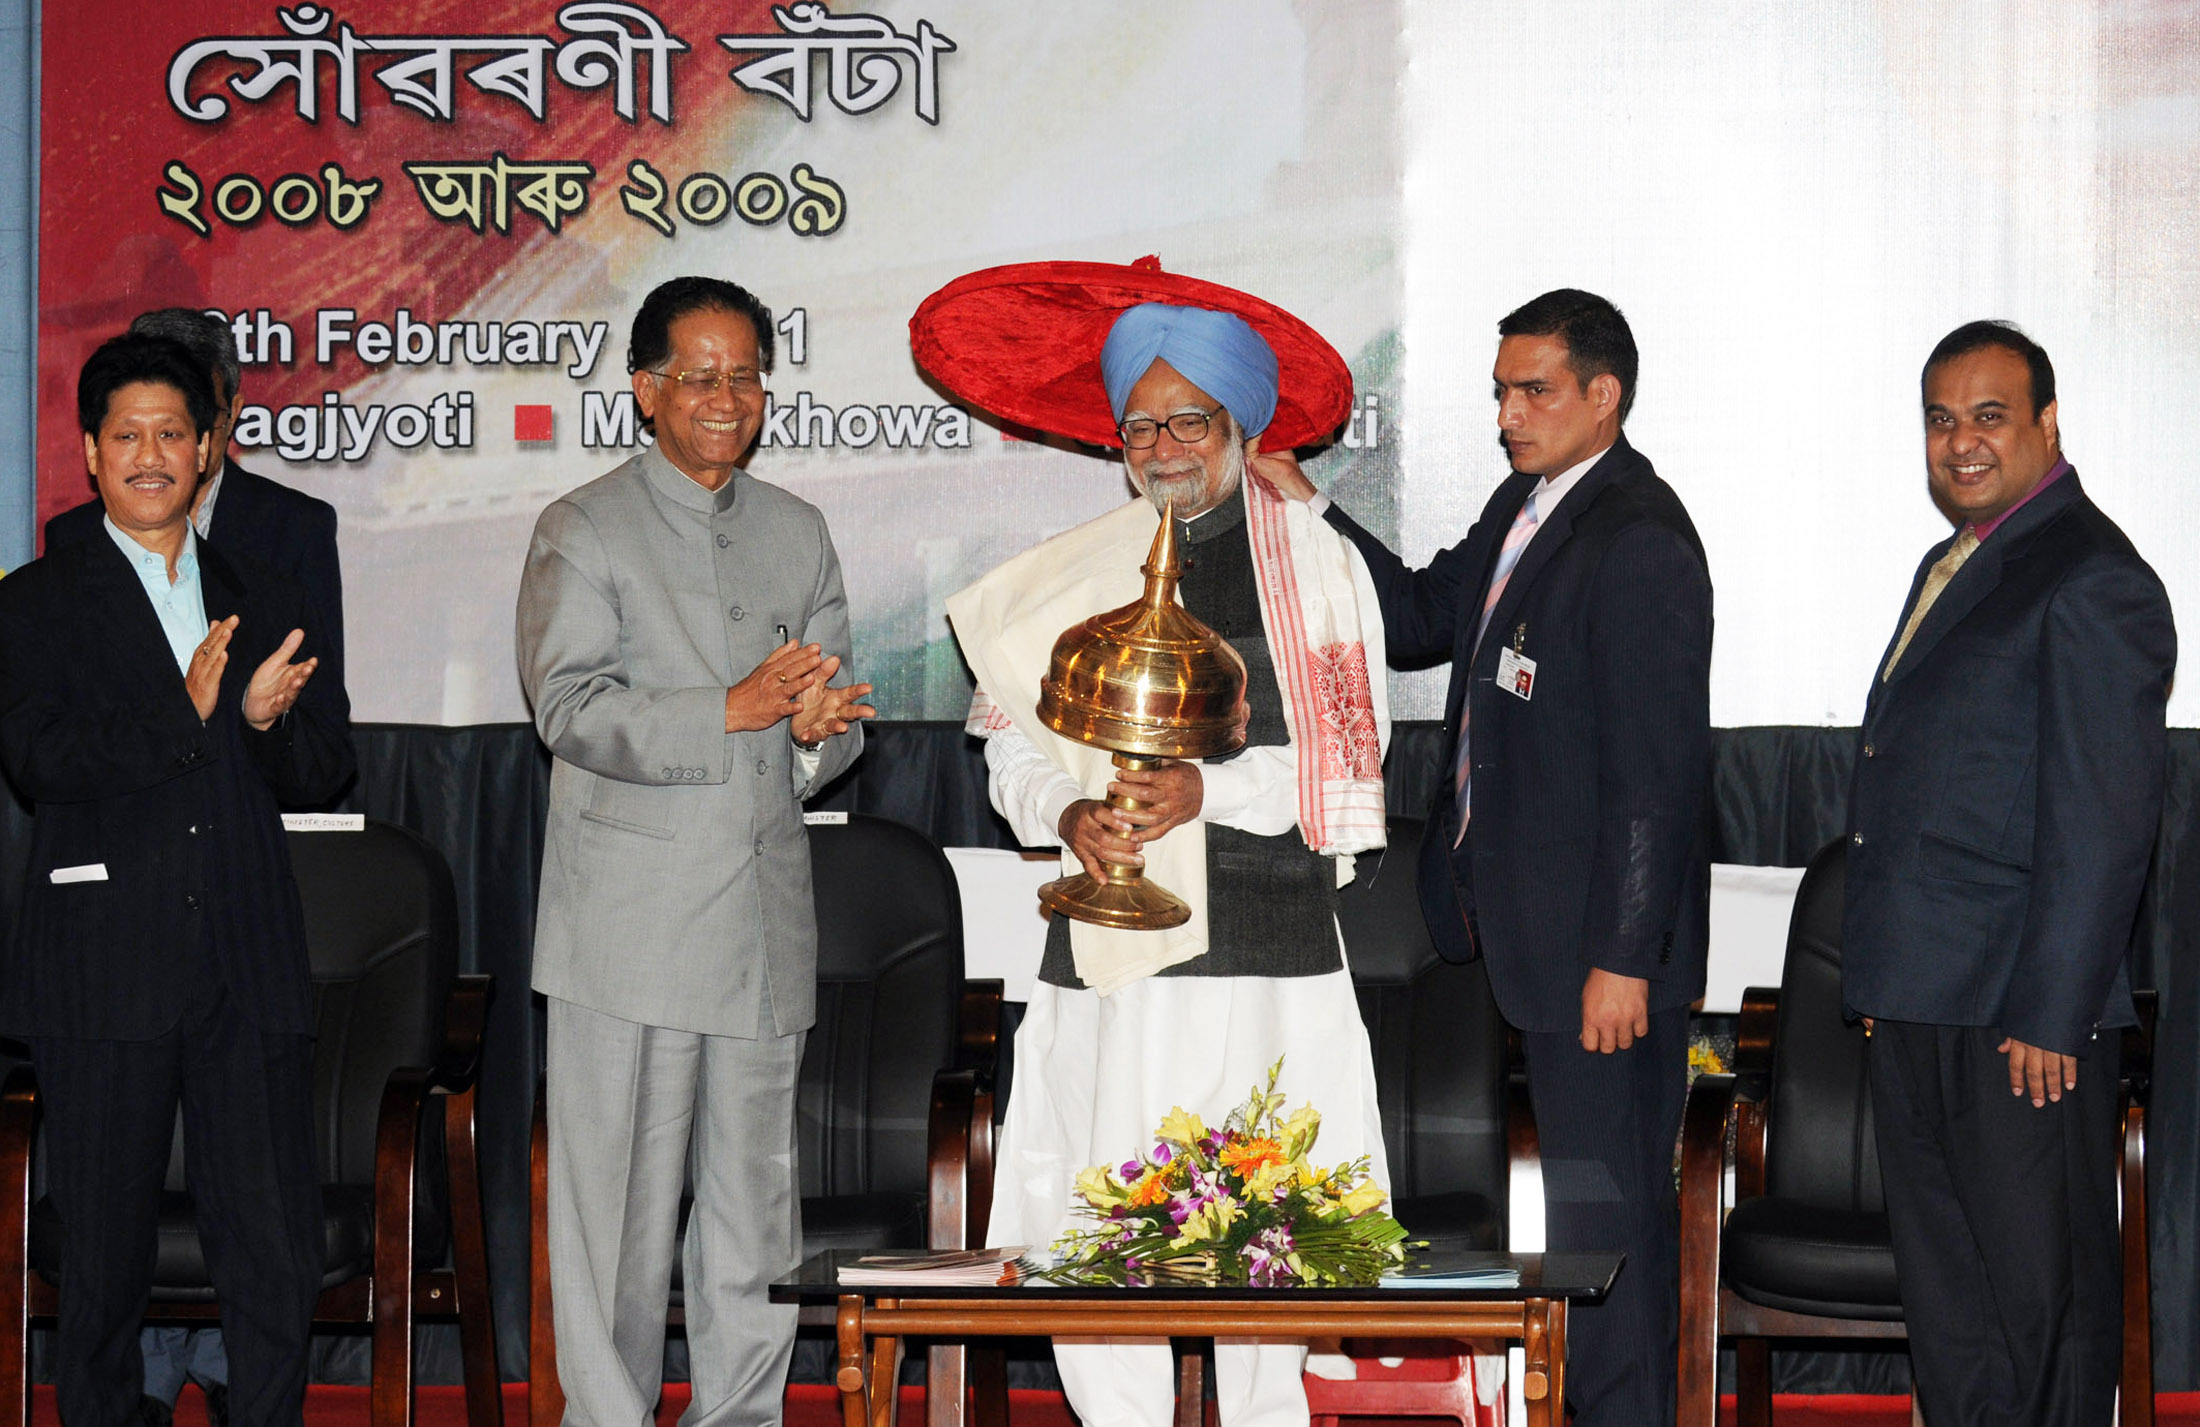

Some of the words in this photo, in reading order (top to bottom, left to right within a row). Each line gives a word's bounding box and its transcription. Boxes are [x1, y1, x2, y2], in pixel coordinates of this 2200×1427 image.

[161, 1, 692, 131] সোঁৱৰণী
[714, 2, 966, 137] বঁটা
[149, 152, 390, 244] ২০০৮
[400, 141, 604, 243] আৰু
[619, 153, 850, 246] ২০০৯
[223, 299, 298, 378] th
[307, 295, 618, 389] February
[220, 376, 481, 469] agjyoti
[750, 378, 979, 456] khowa